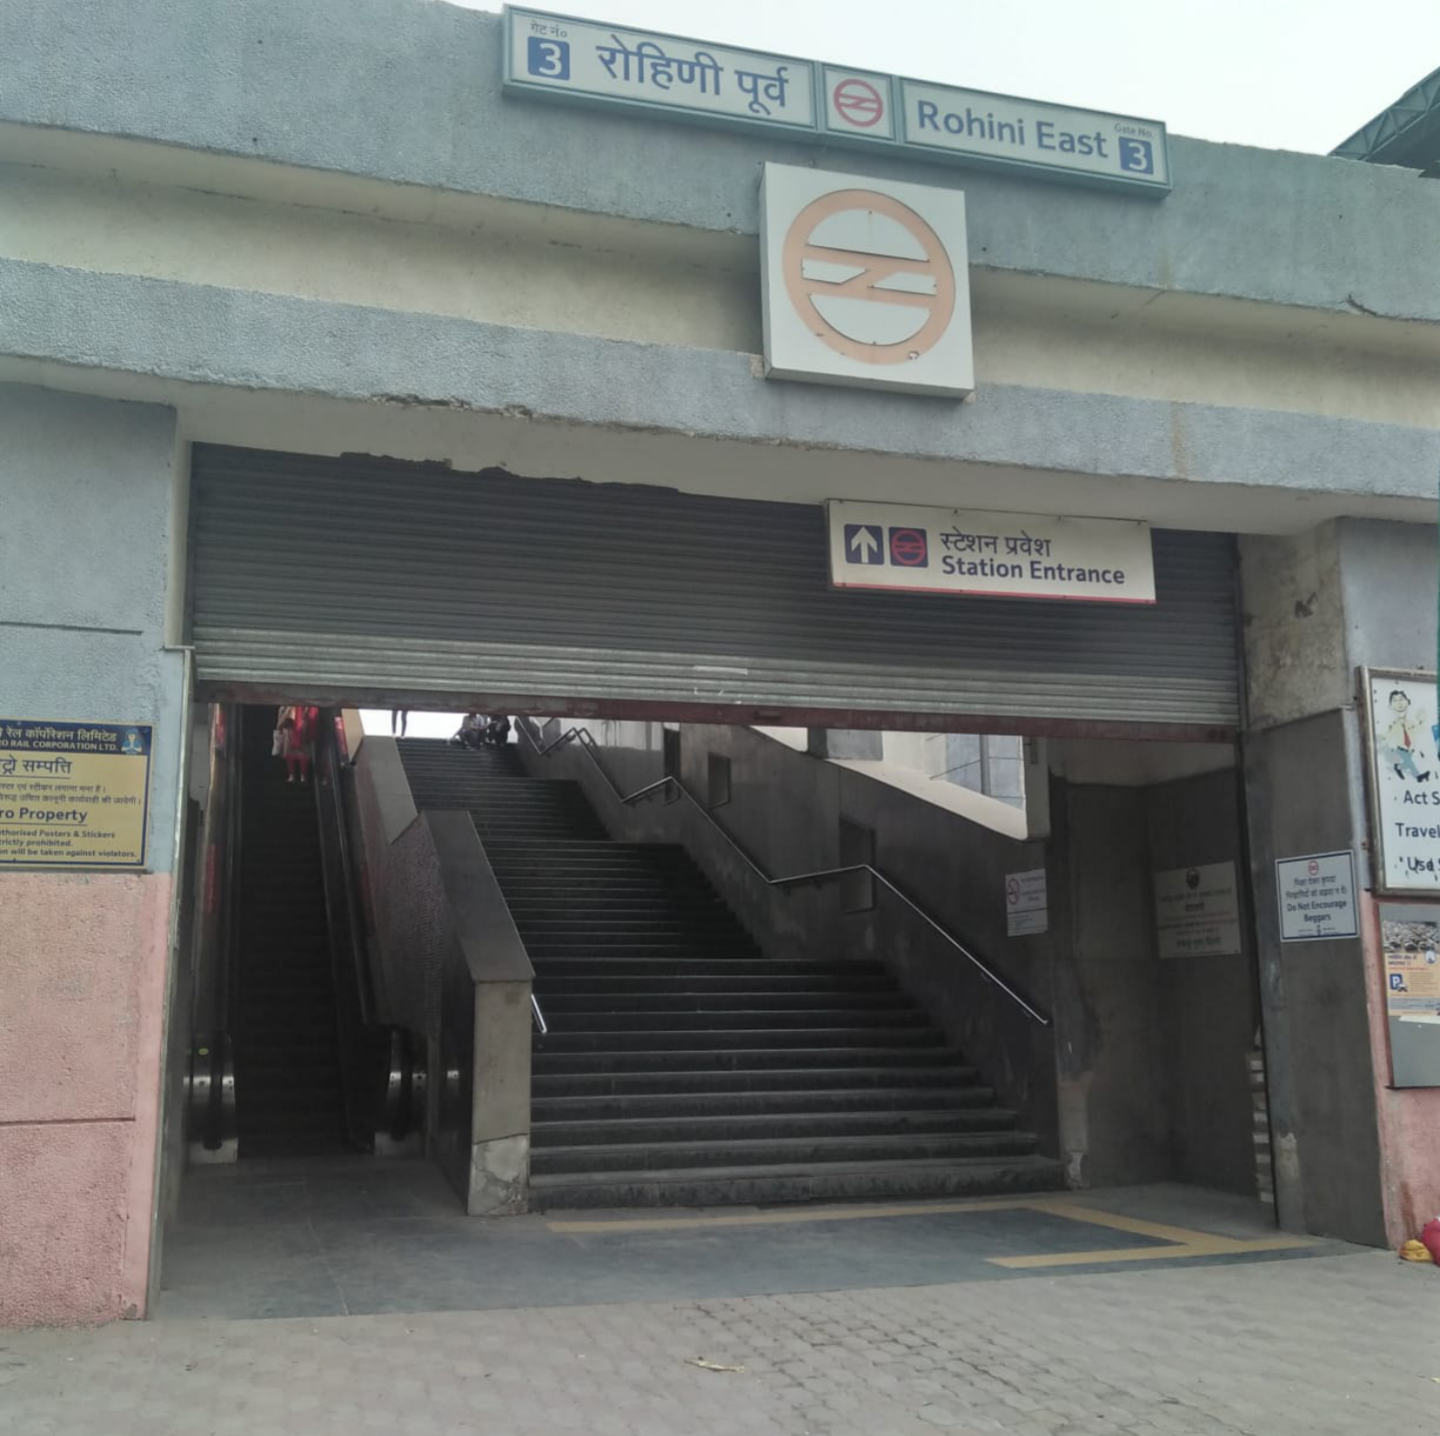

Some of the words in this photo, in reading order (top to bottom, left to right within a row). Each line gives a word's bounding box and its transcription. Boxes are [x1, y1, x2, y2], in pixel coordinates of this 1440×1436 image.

[523, 14, 572, 41] गेट नं.
[594, 29, 727, 99] रोहिणी
[737, 63, 792, 119] पूर्व
[917, 97, 1027, 149] Rohini
[1034, 117, 1113, 162] East
[937, 522, 1003, 558] स्टेशन
[1001, 525, 1054, 559] प्रवेश
[940, 551, 1026, 580] Station
[1028, 558, 1129, 588] Entrance
[5, 723, 24, 741] रेल
[20, 724, 77, 743] कॉर्पोरेशन
[30, 737, 99, 753] CORPORATION
[72, 723, 120, 744] लिमिटेड
[95, 738, 119, 753] LTD.
[23, 754, 75, 777] सम्पत्ति
[16, 805, 93, 825] Property